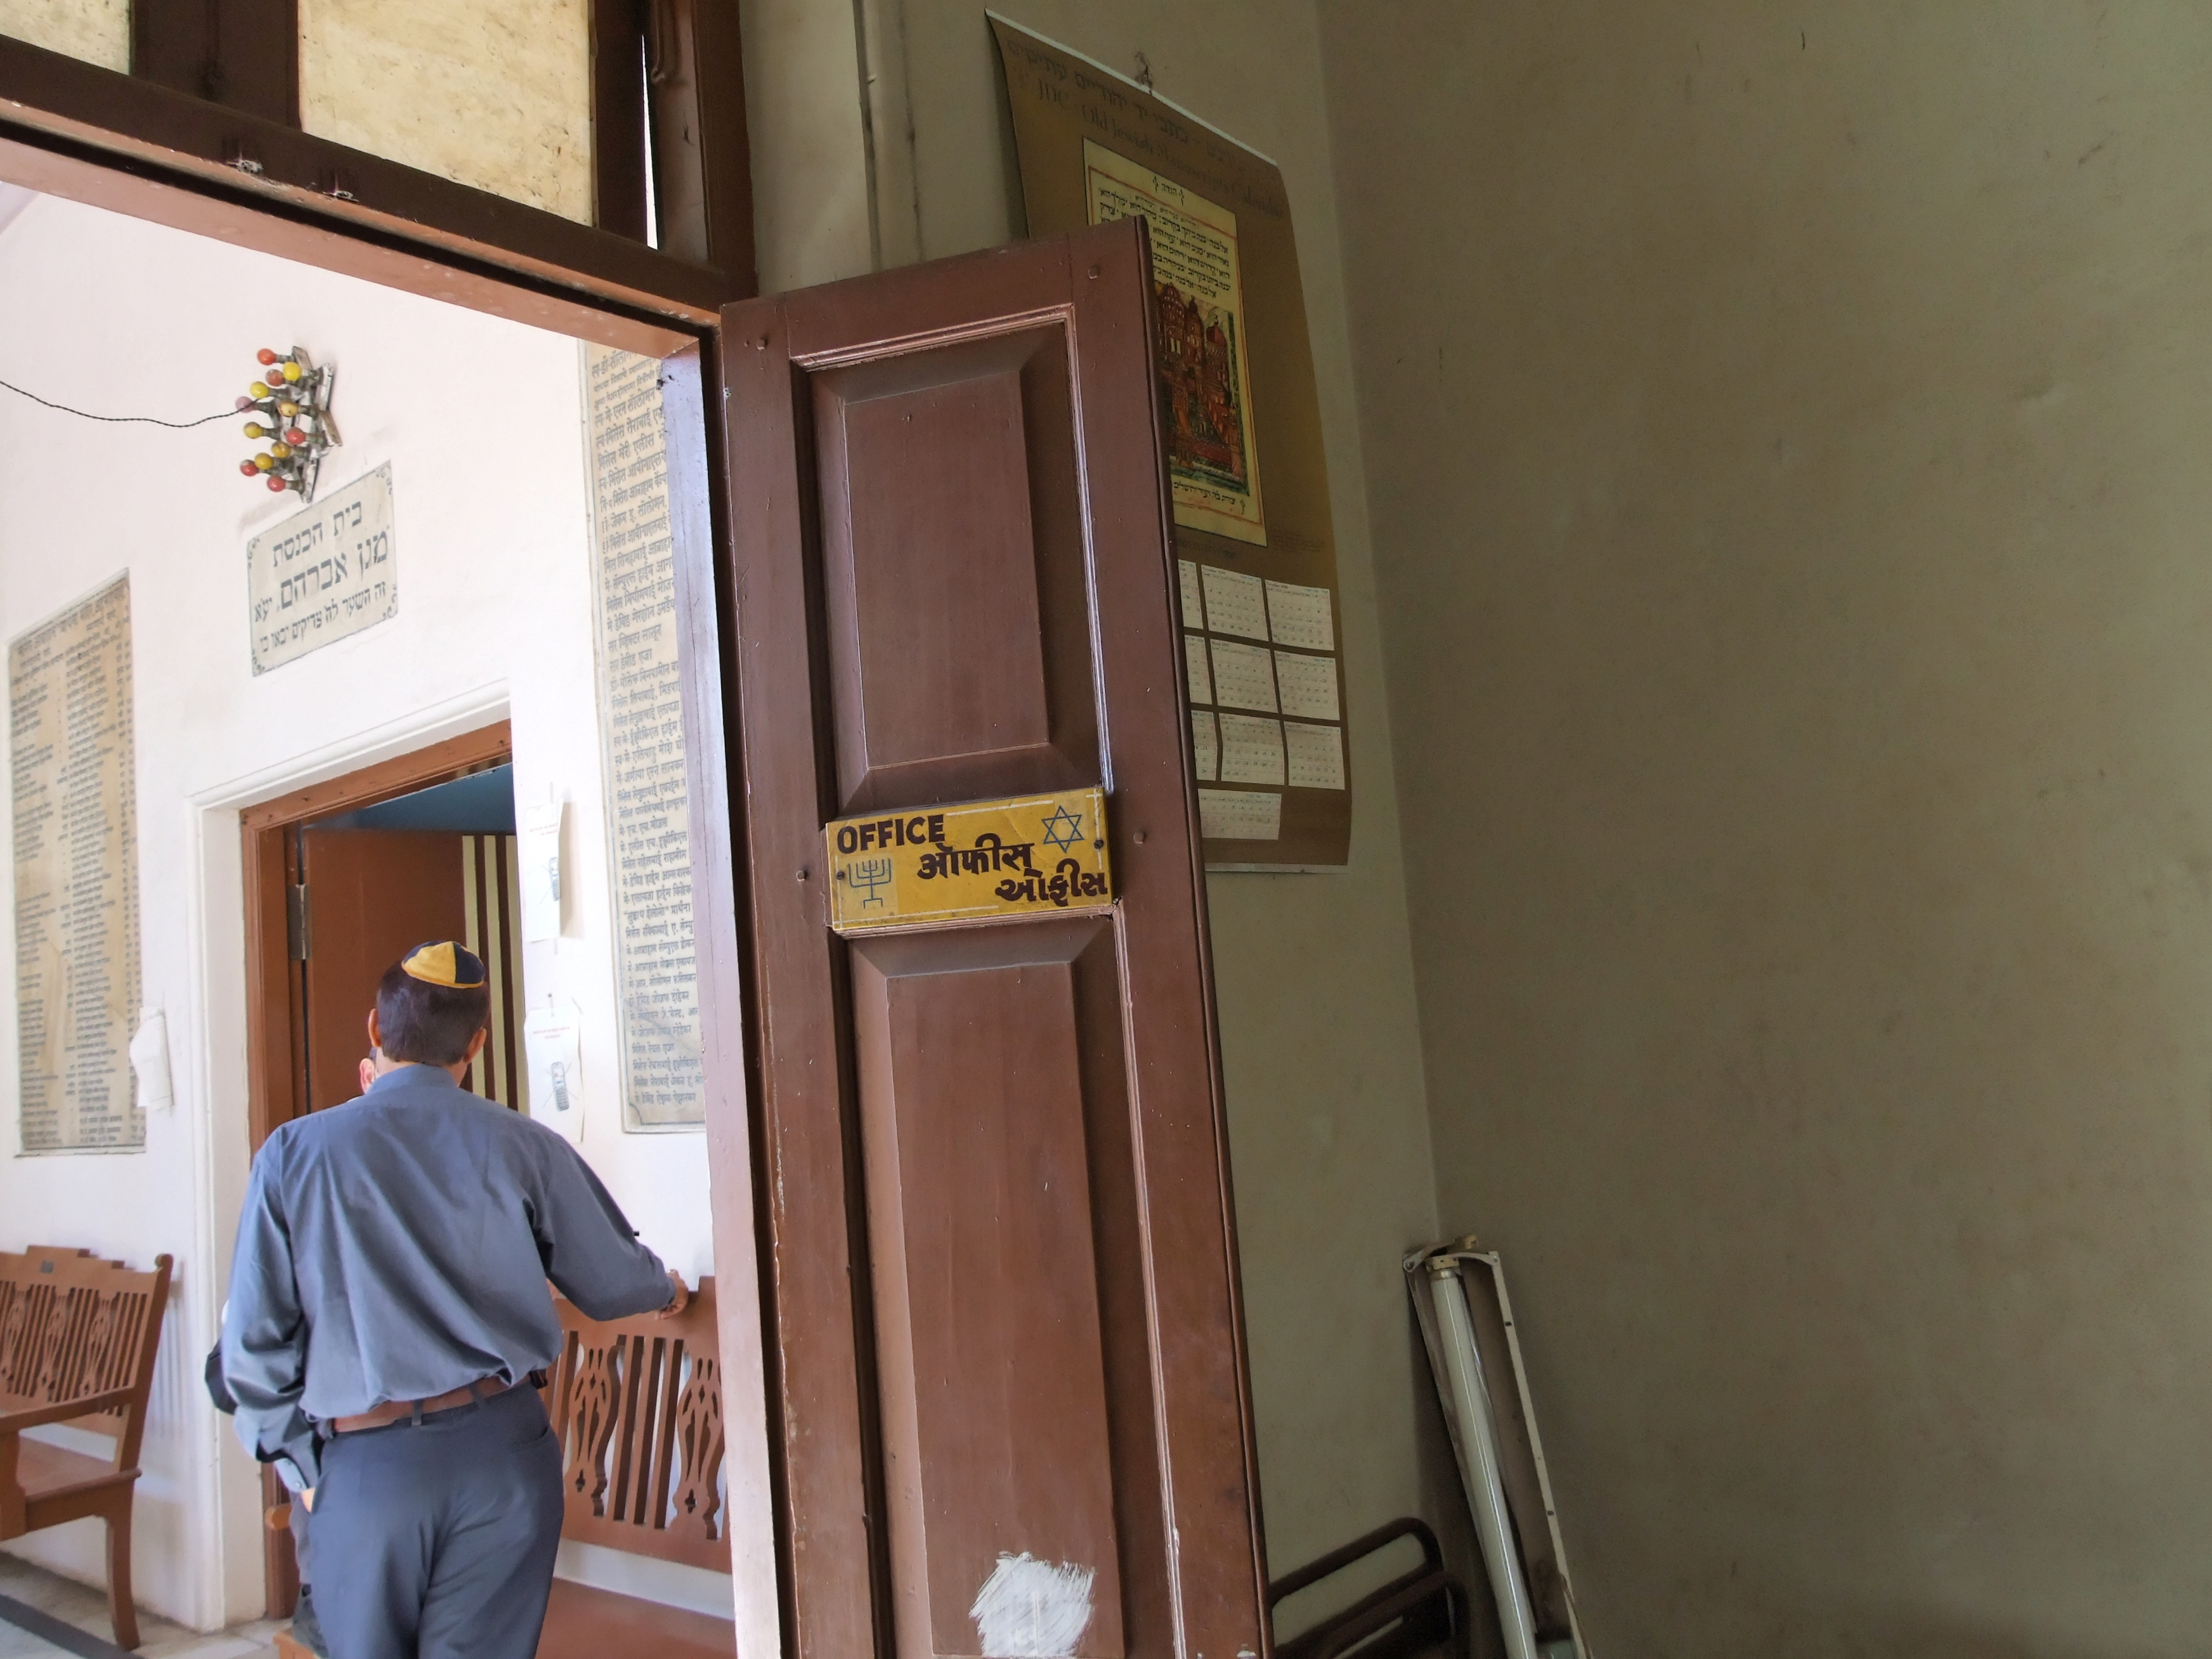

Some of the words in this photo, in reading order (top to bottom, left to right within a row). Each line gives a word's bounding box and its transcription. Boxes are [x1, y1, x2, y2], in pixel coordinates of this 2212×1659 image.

[834, 810, 946, 857] OFFICE
[912, 827, 1038, 885] ऑफीस
[987, 854, 1110, 909] ઓફીસ